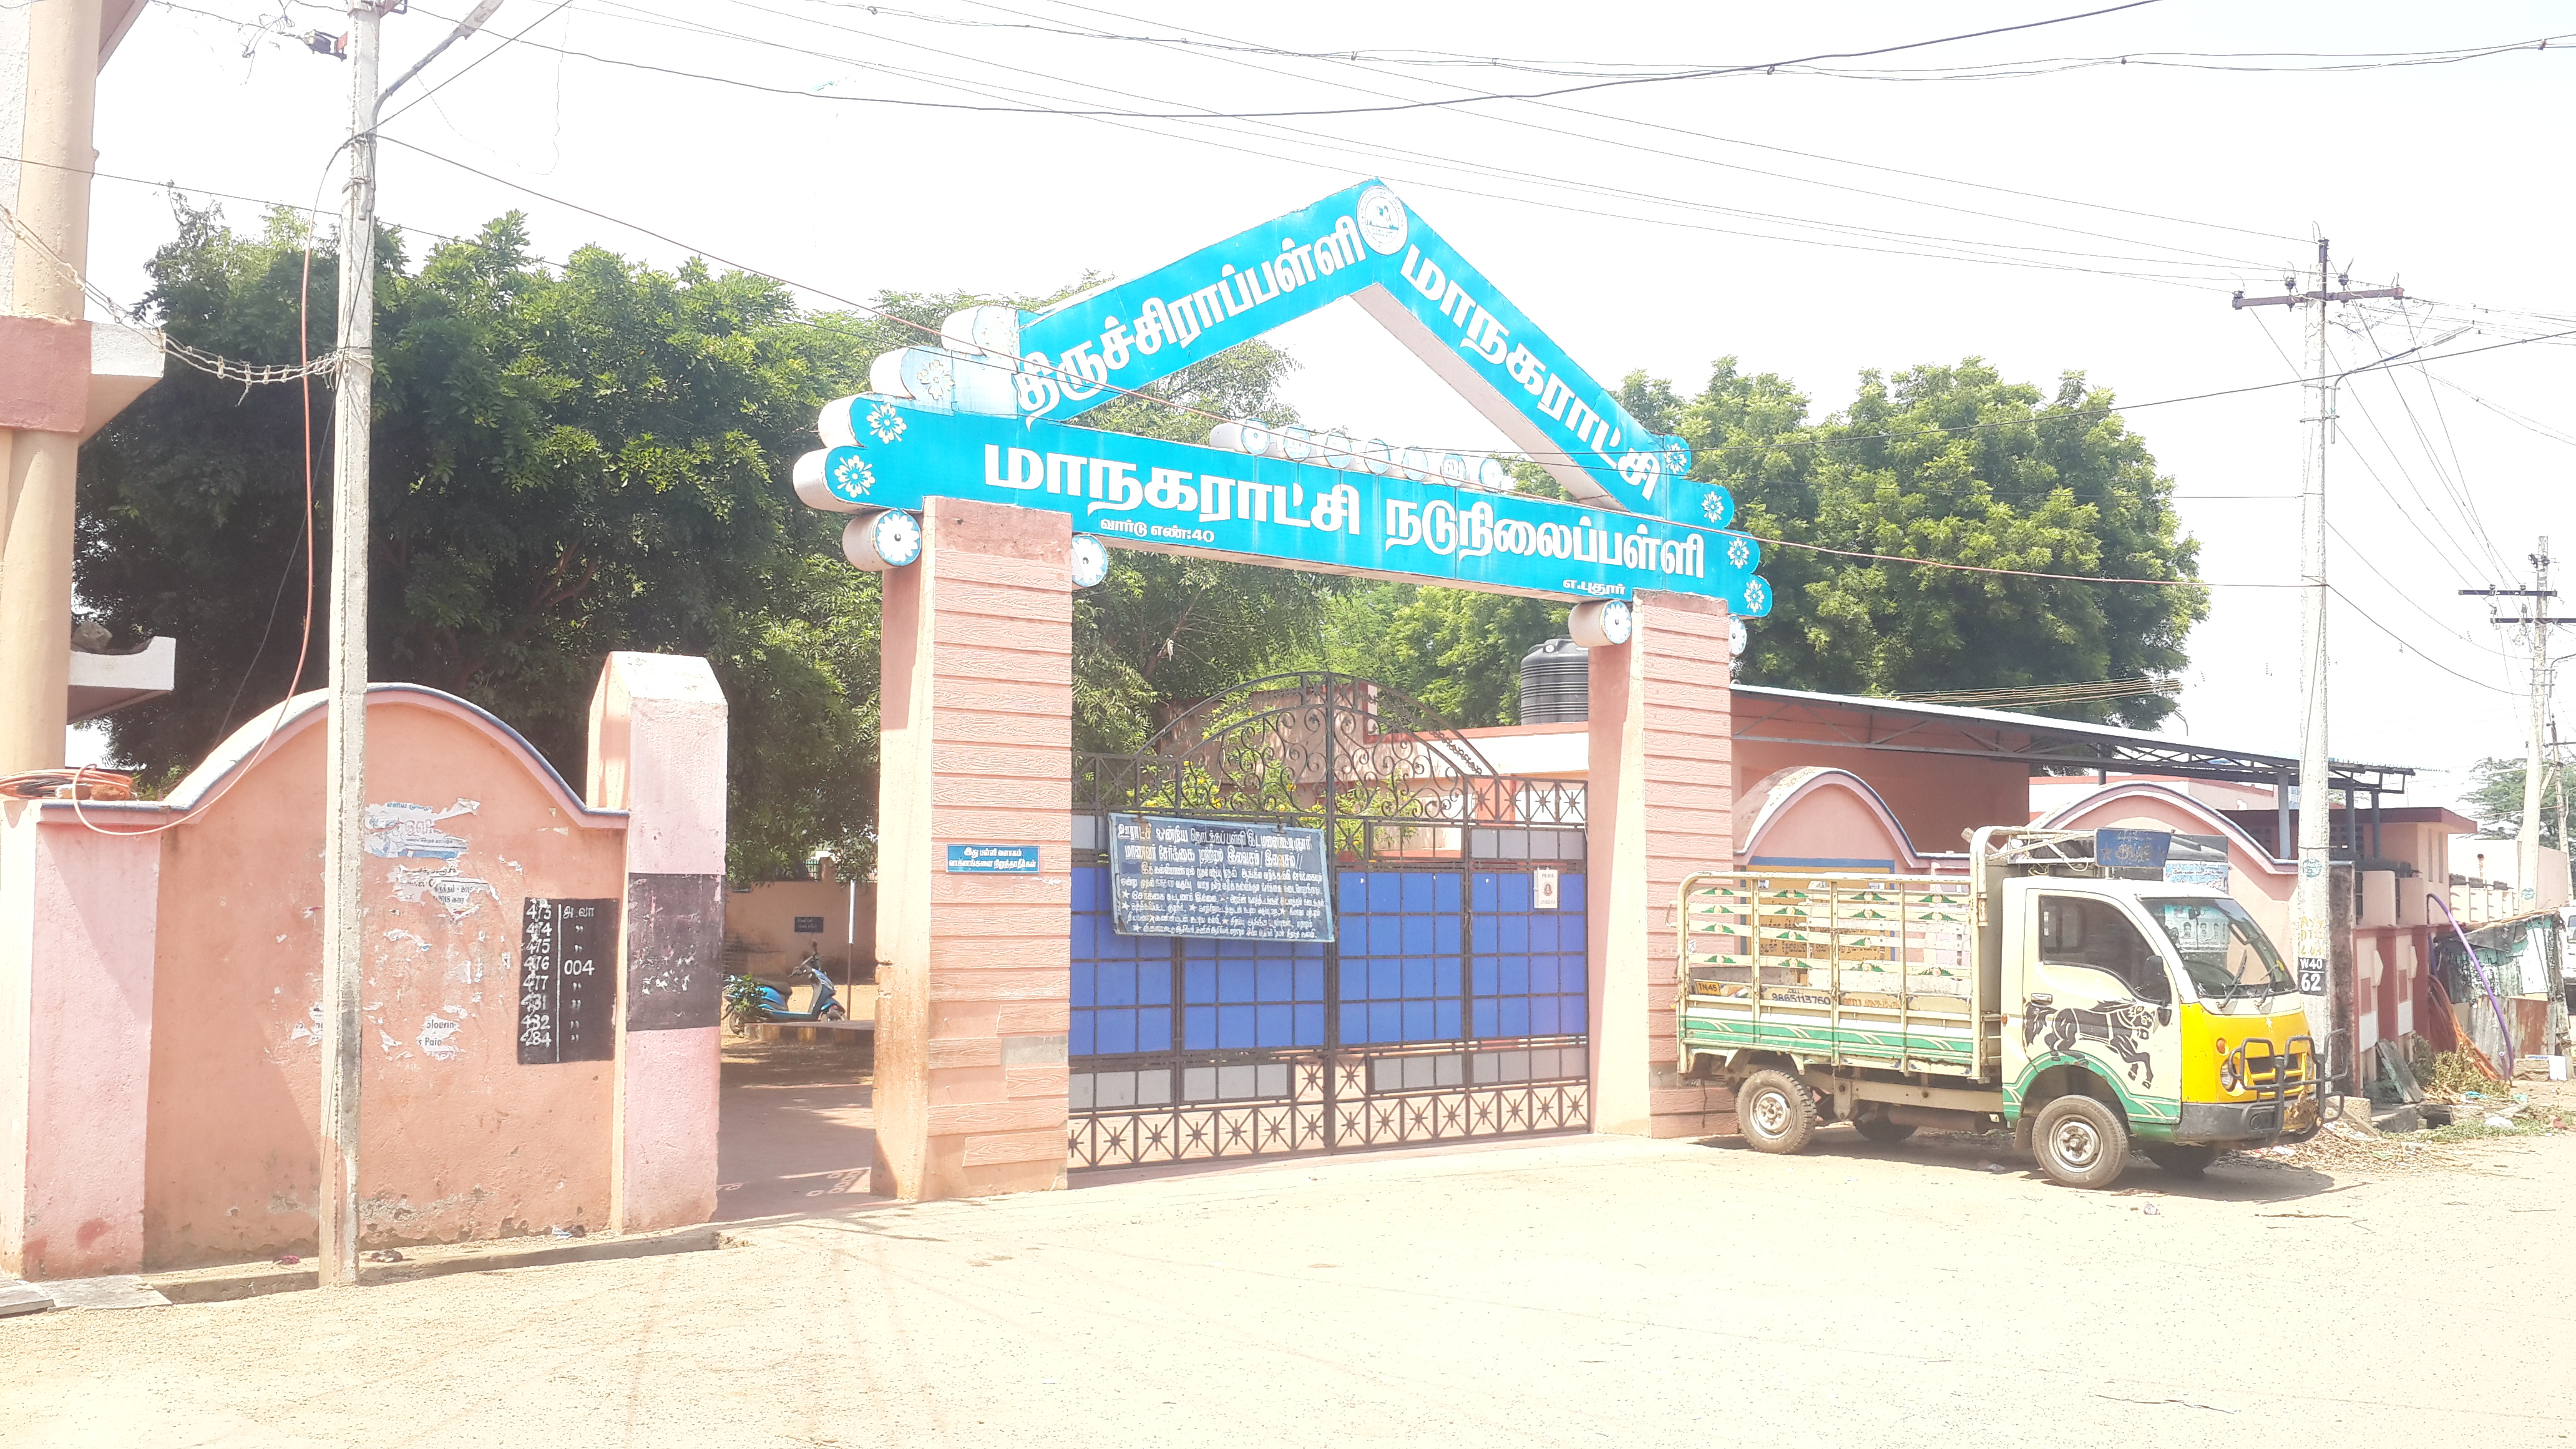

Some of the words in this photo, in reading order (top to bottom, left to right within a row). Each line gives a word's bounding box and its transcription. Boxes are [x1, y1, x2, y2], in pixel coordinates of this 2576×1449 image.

[1008, 210, 1370, 433] திருச்சிராப்பள்ளி
[1396, 241, 1667, 504] மாநகராட்சி
[983, 441, 1365, 540] மாநகராட்சி
[1094, 514, 1151, 541] வாா்டு
[1145, 519, 1219, 547] எண்:40
[1383, 494, 1709, 580] நடுநிலைப்பள்ளி
[1560, 575, 1631, 599] எ.புதூா்
[1115, 819, 1153, 844] ஊராட-சி
[1153, 821, 1193, 846] ஒன்றிய
[1186, 824, 1250, 848] தொடக்கப் பள்ளி
[959, 842, 999, 861] இதுபள்ளி
[997, 846, 1025, 859] வளாகம்
[990, 852, 1039, 871] நிறுத்தாதிர்கள்
[1122, 841, 1159, 862] மாணவர்
[1136, 856, 1199, 878] இக் கல்வியாண்டில்
[1156, 841, 1199, 863] சோ்க்கை
[1195, 842, 1226, 869] முற்றிறம்
[1224, 840, 1264, 869] இவைசம்!
[1260, 845, 1300, 871] இலவசம்
[1128, 884, 1169, 902] சோ்க்கை
[1162, 890, 1198, 905] கட்டணம்